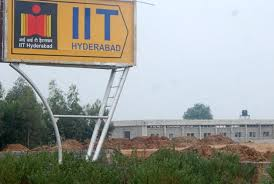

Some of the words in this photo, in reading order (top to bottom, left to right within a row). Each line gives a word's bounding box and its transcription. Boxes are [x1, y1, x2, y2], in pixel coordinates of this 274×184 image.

[69, 5, 122, 43] IIT
[15, 39, 54, 51] IIT Hyderabad
[69, 39, 124, 53] HYDERABAD